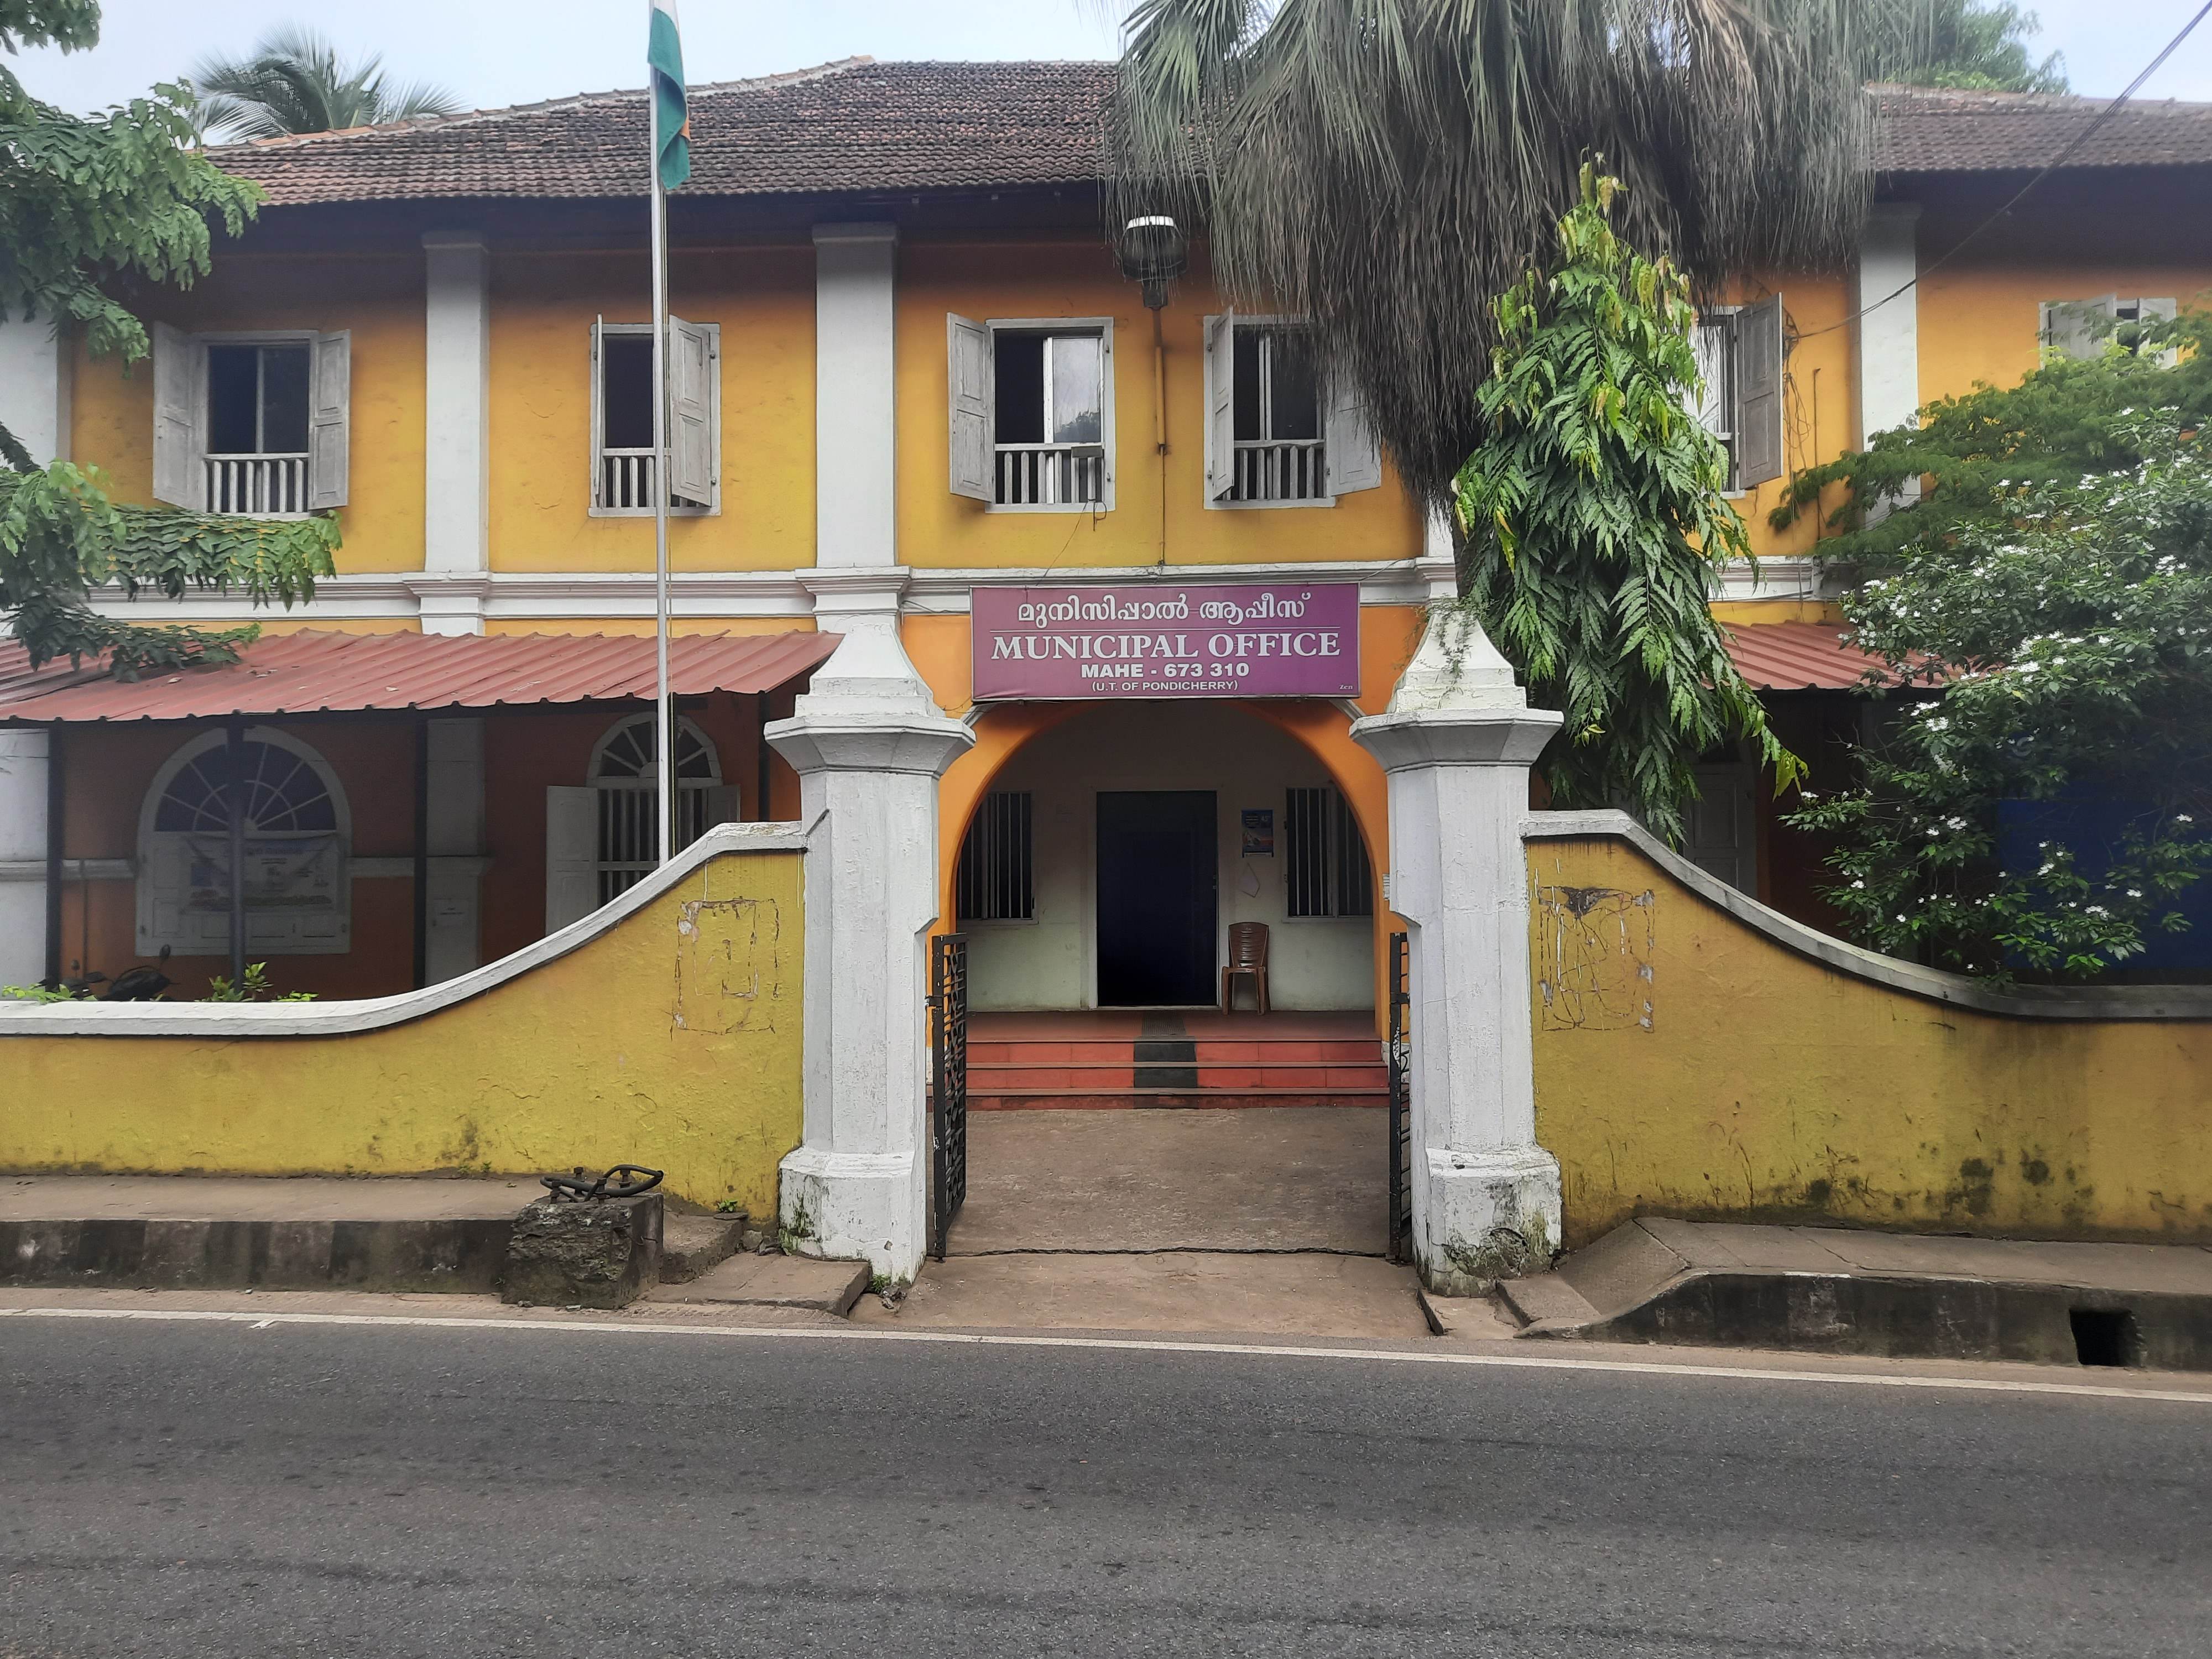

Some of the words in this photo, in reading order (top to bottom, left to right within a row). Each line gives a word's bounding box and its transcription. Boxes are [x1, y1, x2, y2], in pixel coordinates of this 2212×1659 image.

[1014, 588, 1191, 631] മുനിസിപ്പാൽ
[1193, 585, 1315, 628] ആപ്പീസ്
[985, 630, 1201, 662] MUNICIPAL
[1204, 626, 1342, 661] OFFICE
[1077, 660, 1147, 680] MAHE
[1162, 659, 1254, 683] 673310
[1092, 679, 1121, 693] U.T.
[1119, 679, 1141, 692] OF
[1139, 678, 1235, 692] PONDICHERRY